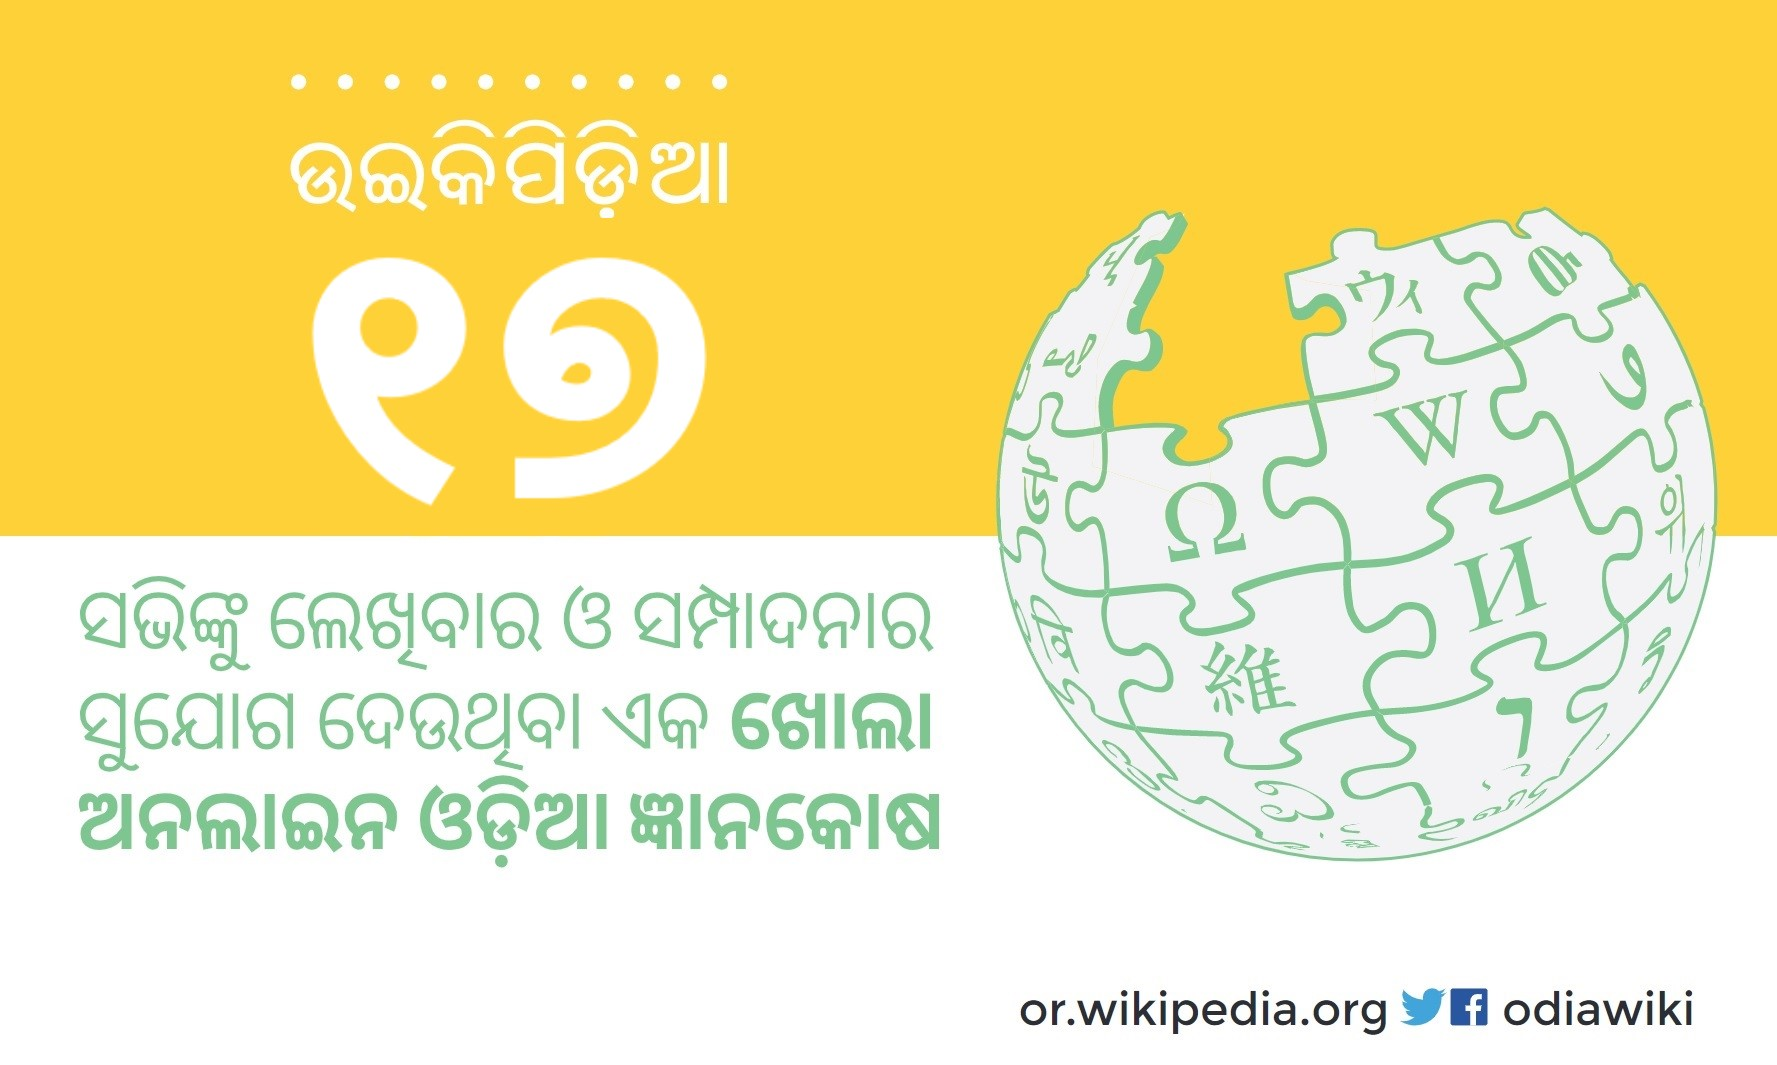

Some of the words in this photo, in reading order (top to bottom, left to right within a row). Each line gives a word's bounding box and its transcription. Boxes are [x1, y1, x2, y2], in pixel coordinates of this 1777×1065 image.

[283, 109, 644, 225] ଉଇକିପିଡ଼ି
[641, 127, 739, 216] ଆ
[289, 226, 722, 532] ୧୭
[69, 565, 257, 678] ସଭିଙ୍କୁ
[263, 588, 543, 677] ଲେଖୁବାର
[557, 579, 621, 658] ଓ
[627, 582, 937, 657] ସମ୍ପାଦନାର
[77, 684, 299, 777] ସୁଯୋଗ
[315, 686, 584, 778] ଦେଉଥିବା
[605, 687, 716, 758] ଏକ
[726, 689, 935, 757] ଖୋଲା
[77, 785, 405, 857] ଅନଲାଇନ
[413, 771, 612, 872] ଓଡ଼ିଆ
[619, 787, 943, 856] ଜ୍ଞାନକୋଷ
[1012, 986, 1390, 1040] or.wikipedia.org
[1493, 982, 1695, 1031] odiawiki